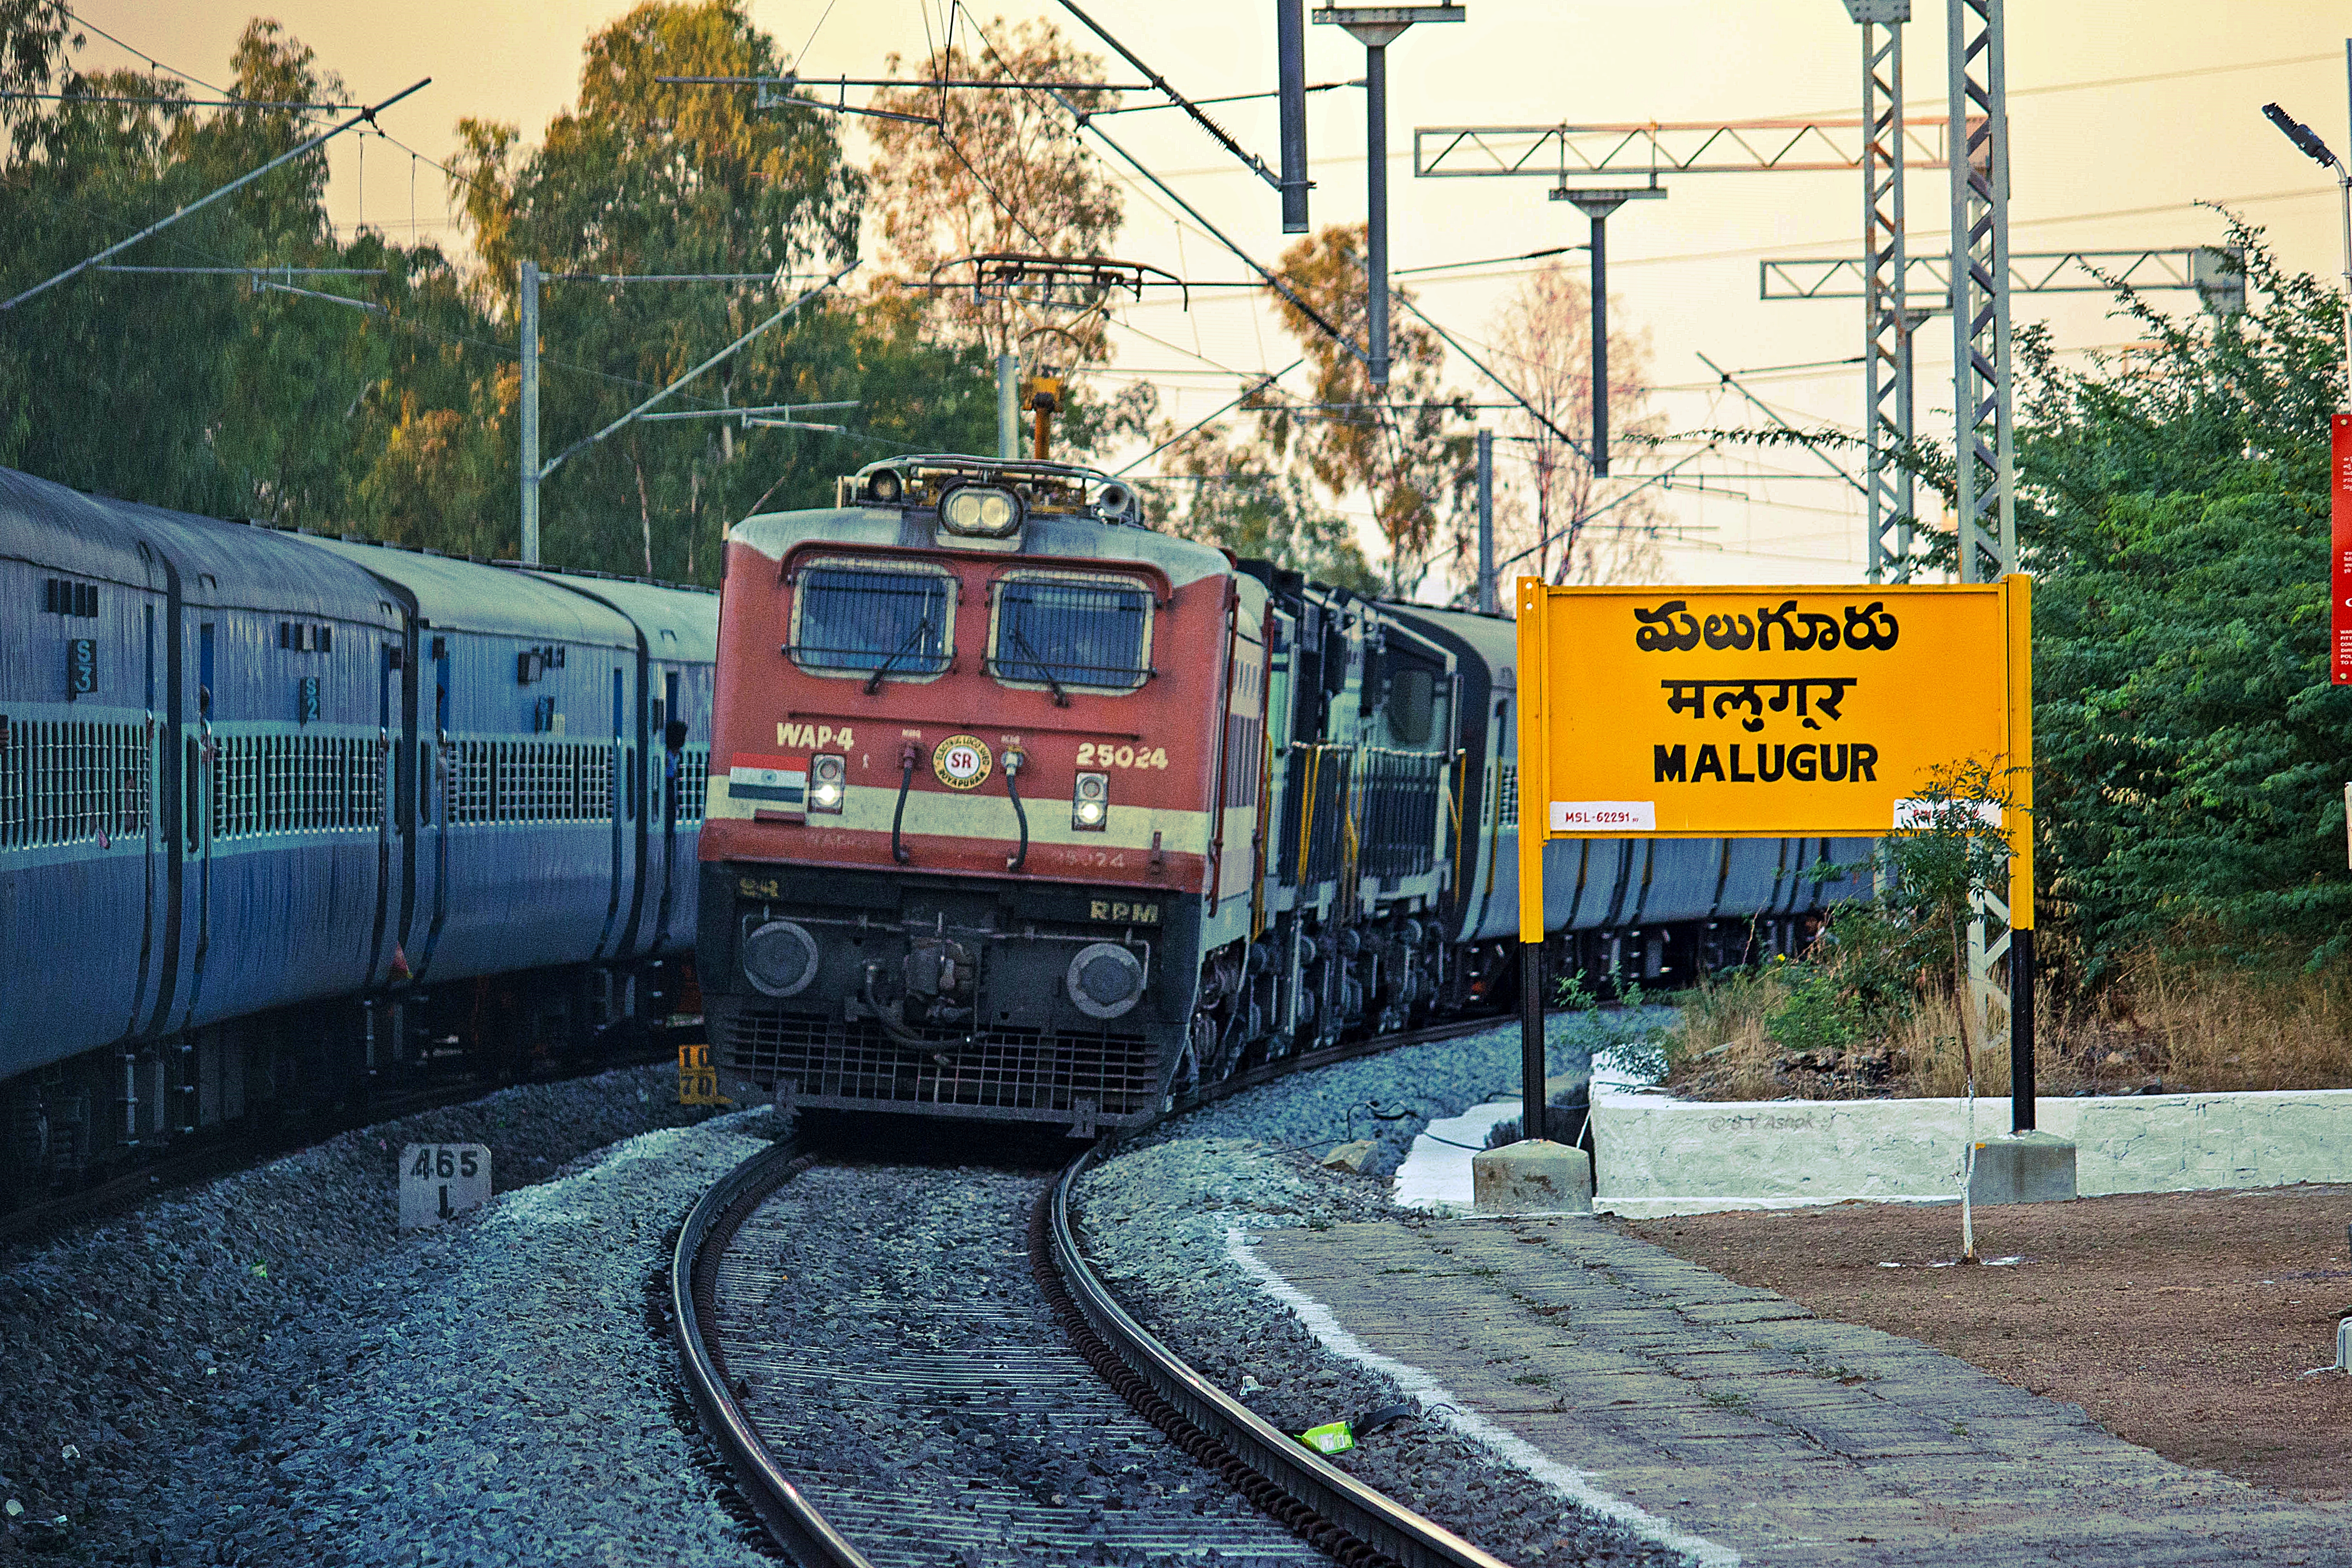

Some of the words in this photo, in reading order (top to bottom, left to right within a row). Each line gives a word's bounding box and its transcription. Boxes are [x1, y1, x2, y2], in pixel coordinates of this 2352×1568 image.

[1633, 594, 1901, 654] మలుగూరు
[1659, 675, 1861, 734] मलुगूर
[771, 719, 862, 753] WAP-4
[1073, 737, 1171, 773] 25024
[1653, 740, 1879, 784] MALUGUR
[1564, 808, 1634, 827] MSL-62291,